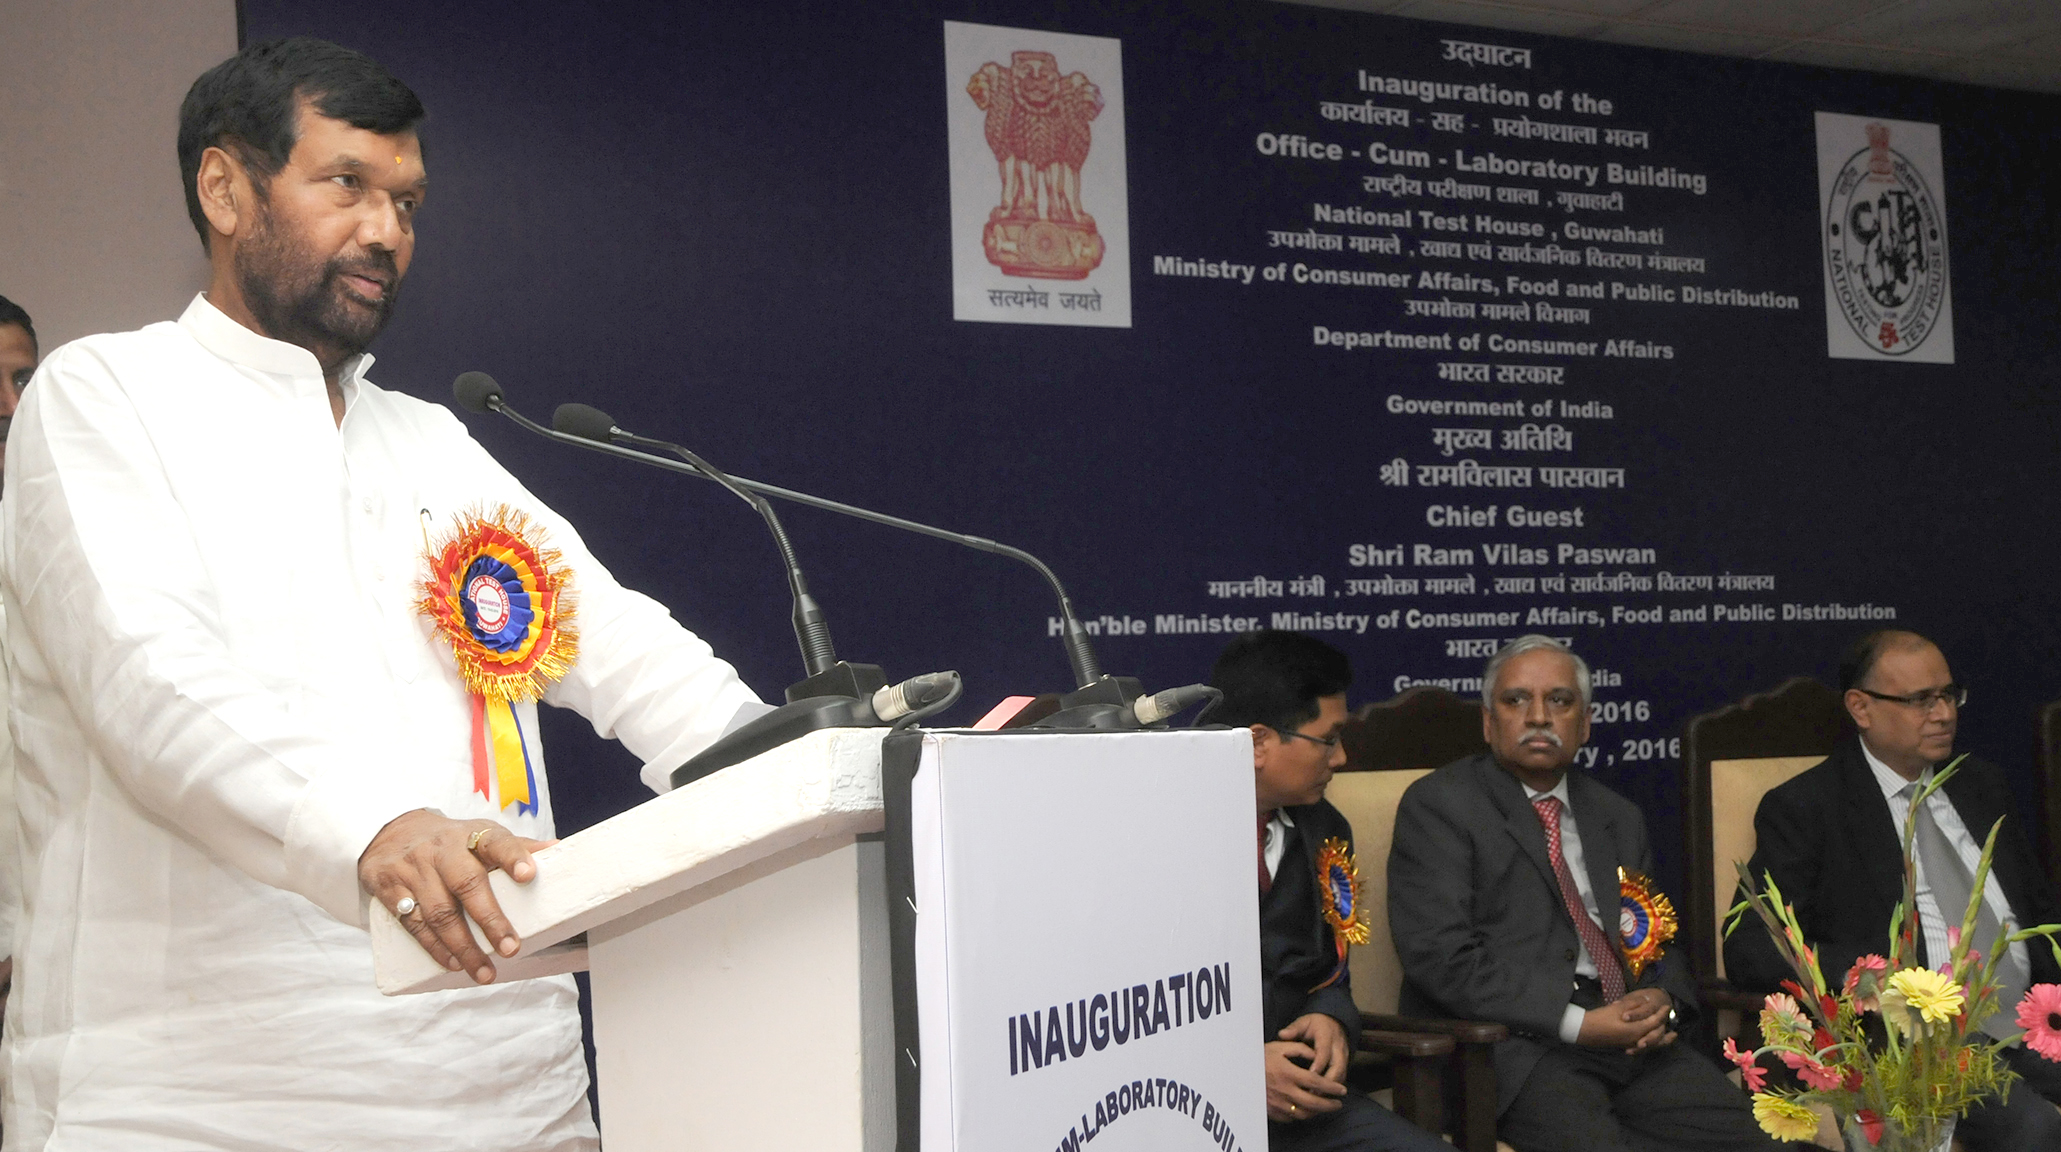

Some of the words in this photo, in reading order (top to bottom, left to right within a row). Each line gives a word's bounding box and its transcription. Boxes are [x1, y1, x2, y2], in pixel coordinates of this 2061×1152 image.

[1433, 33, 1537, 75] उद्‌घाटन
[985, 278, 1055, 313] सत्यमेव
[1057, 282, 1111, 315] जयते
[1150, 251, 1263, 289] Ministry
[1255, 255, 1296, 286] of
[1251, 125, 1351, 167] Office
[1263, 223, 1352, 254] उपभोक्ता
[1286, 252, 1418, 294] Consumer
[1307, 198, 1418, 232] National
[1316, 92, 1423, 131] कार्यालय
[1343, 227, 1410, 262] मामले
[1307, 322, 1457, 352] Department
[1359, 166, 1427, 202] राष्ट्रीय
[1364, 133, 1437, 174] Cum
[1413, 228, 1466, 265] खाद्य
[1397, 292, 1482, 323] उपभोक्ता
[1349, 67, 1539, 112] Inauguration
[1414, 202, 1476, 239] Test
[1423, 102, 1473, 139] सह
[1408, 267, 1501, 298] Affairs,
[1419, 170, 1496, 203] परीक्षण
[1451, 325, 1488, 356] of
[1459, 232, 1498, 271] एवं
[1478, 296, 1539, 327] मामले
[1472, 211, 1548, 241] House
[1487, 179, 1545, 208] शाला
[1451, 145, 1604, 190] Laboratory
[1499, 264, 1567, 302] Food
[1493, 236, 1587, 271] सार्वजनिक
[1484, 329, 1607, 360] Consumer
[1492, 111, 1603, 150] प्रयोगशाला
[1529, 76, 1570, 117] of
[1524, 292, 1595, 332] विभाग
[1546, 185, 1629, 220] गुवाहाटी
[1561, 271, 1619, 304] and
[1563, 88, 1621, 125] the
[1578, 238, 1646, 274] वितरण
[1555, 219, 1673, 250] Guwahati
[1599, 121, 1655, 157] भवन
[1601, 335, 1675, 363] Affairs
[1606, 278, 1683, 309] Public
[1598, 160, 1714, 200] Building
[1641, 243, 1711, 278] मंत्रालय
[1680, 280, 1805, 316] Distribution
[1825, 243, 1874, 342] NATIONAL
[1890, 303, 1936, 350] TEST
[1919, 250, 1946, 317] HOUSE
[1432, 350, 1493, 387] भारत
[1490, 354, 1573, 393] सरकार
[1380, 387, 1530, 420] Government
[1524, 391, 1559, 423] of
[1558, 398, 1615, 426] India
[1429, 418, 1503, 463] मुख्य
[1493, 412, 1580, 458] अतिथि
[1368, 445, 1416, 494] श्री
[1414, 452, 1538, 495] रामविलास
[1530, 456, 1632, 494] पासवान
[1420, 496, 1504, 533] Chief
[1498, 497, 1596, 533] Guest
[1341, 531, 1414, 573] Shri
[1411, 540, 1475, 571] Ram
[1476, 534, 1556, 575] Vilas
[1548, 535, 1661, 573] Paswan
[1202, 570, 1291, 607] माननीय
[1283, 567, 1337, 603] मंत्री
[1338, 567, 1423, 601] उपभोक्ता
[1417, 565, 1481, 604] मामले
[1485, 570, 1542, 602] खाद्य
[1534, 565, 1576, 601] एवं
[1563, 565, 1659, 598] सार्वजनिक
[1647, 564, 1722, 598] वितरण
[1712, 565, 1783, 598] मंत्रालय
[1044, 604, 1153, 640] Hon
[1151, 605, 1264, 639] Minister.
[1268, 604, 1380, 642] Ministry
[1367, 601, 1405, 638] of
[1400, 604, 1526, 634] Consumer
[1523, 596, 1607, 634] Affairs,
[1607, 597, 1671, 629] Food
[1658, 598, 1716, 626] and
[1709, 598, 1782, 626] Public
[1778, 596, 1903, 627] Distribution
[1438, 632, 1507, 665] भारत
[1584, 691, 1657, 731] 2016
[1001, 955, 1237, 1081] INAUGURATION
[1076, 1069, 1209, 1144] LABORATORY